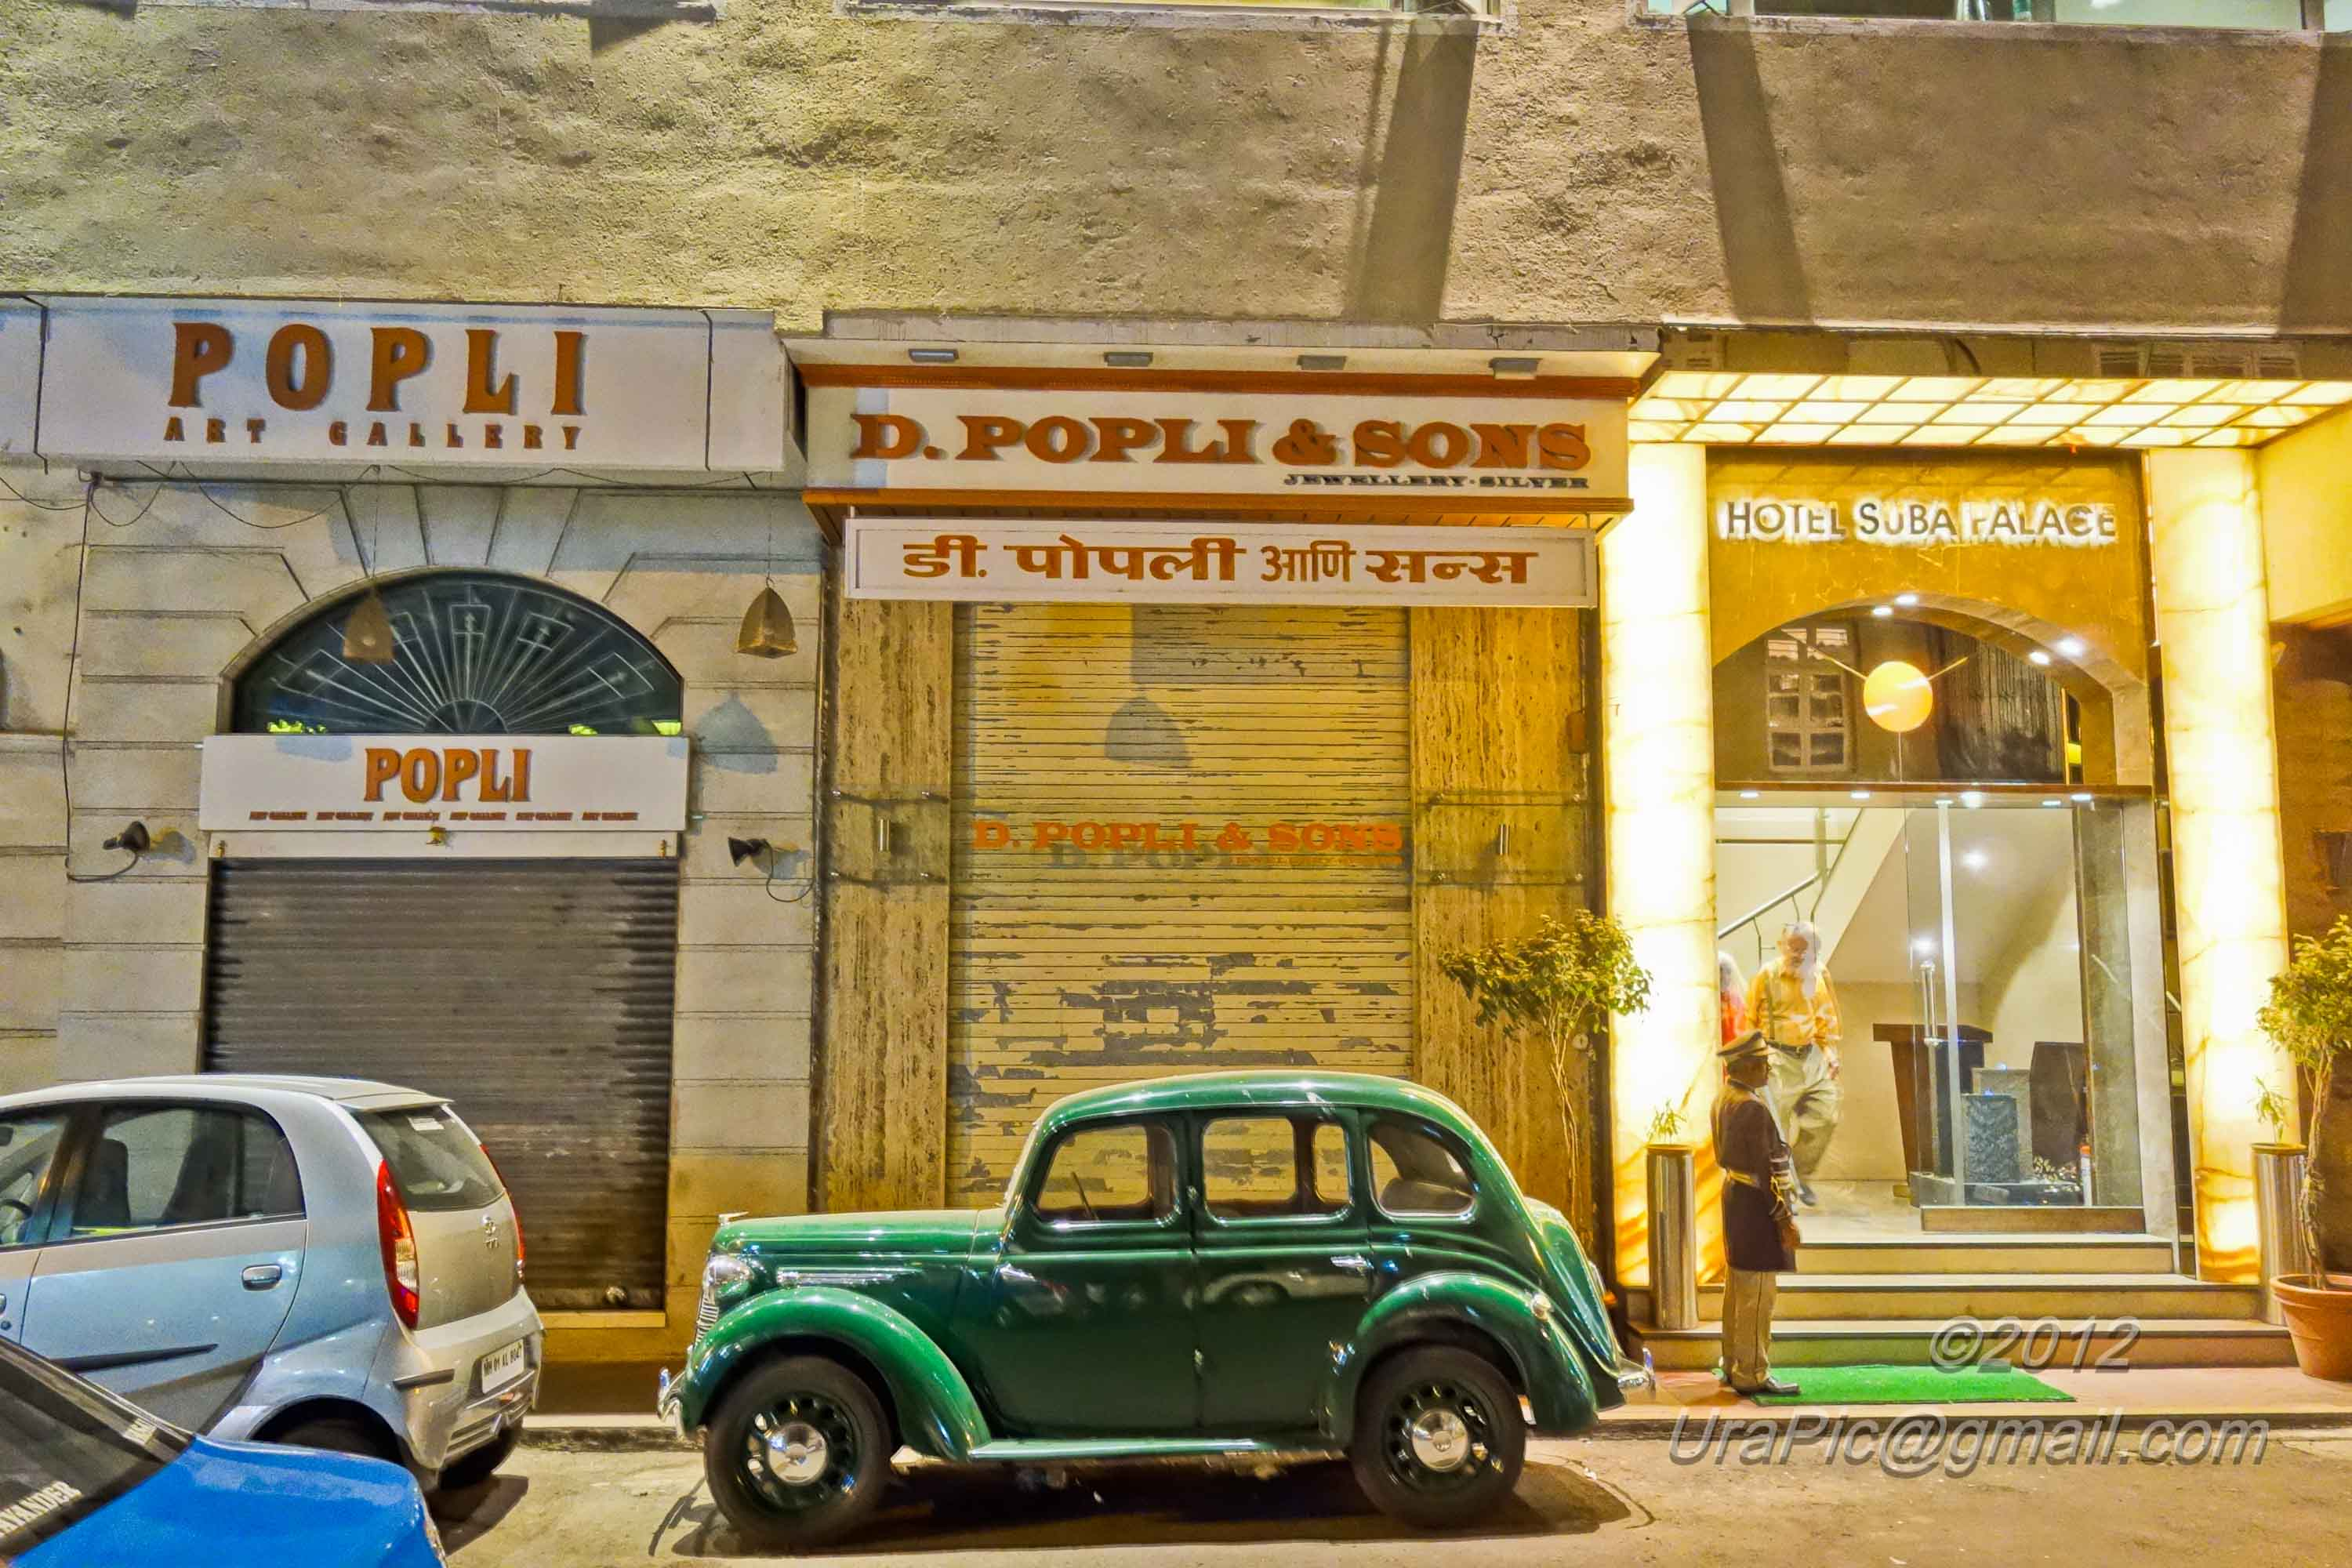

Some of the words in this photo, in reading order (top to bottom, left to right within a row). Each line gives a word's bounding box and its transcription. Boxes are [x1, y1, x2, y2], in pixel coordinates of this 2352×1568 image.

[164, 314, 592, 423] POPLI
[158, 410, 277, 449] ART
[319, 415, 586, 453] GALLERY
[841, 403, 947, 472] D.
[950, 405, 1258, 471] POPLI
[1262, 412, 1341, 468] &
[1345, 413, 1593, 472] SONS
[1276, 468, 1471, 491] JEWELLERY
[1475, 473, 1595, 493] SILVER
[1721, 497, 1851, 543] HOTEL
[1851, 495, 1964, 543] SUBA
[1962, 497, 2124, 547] PALACE
[891, 529, 996, 593] डी.
[995, 528, 1254, 589] पोपली
[1255, 535, 1360, 589] आणि
[1360, 544, 1545, 592] सन्स
[358, 740, 541, 808] POPLI
[965, 810, 1028, 857] D.
[1029, 816, 1206, 857] POPLI
[1213, 818, 1259, 854] &
[1263, 818, 1414, 855] SONS
[1966, 1308, 2146, 1381] 2012
[1655, 1401, 2277, 1483] UraPic@gmail.com